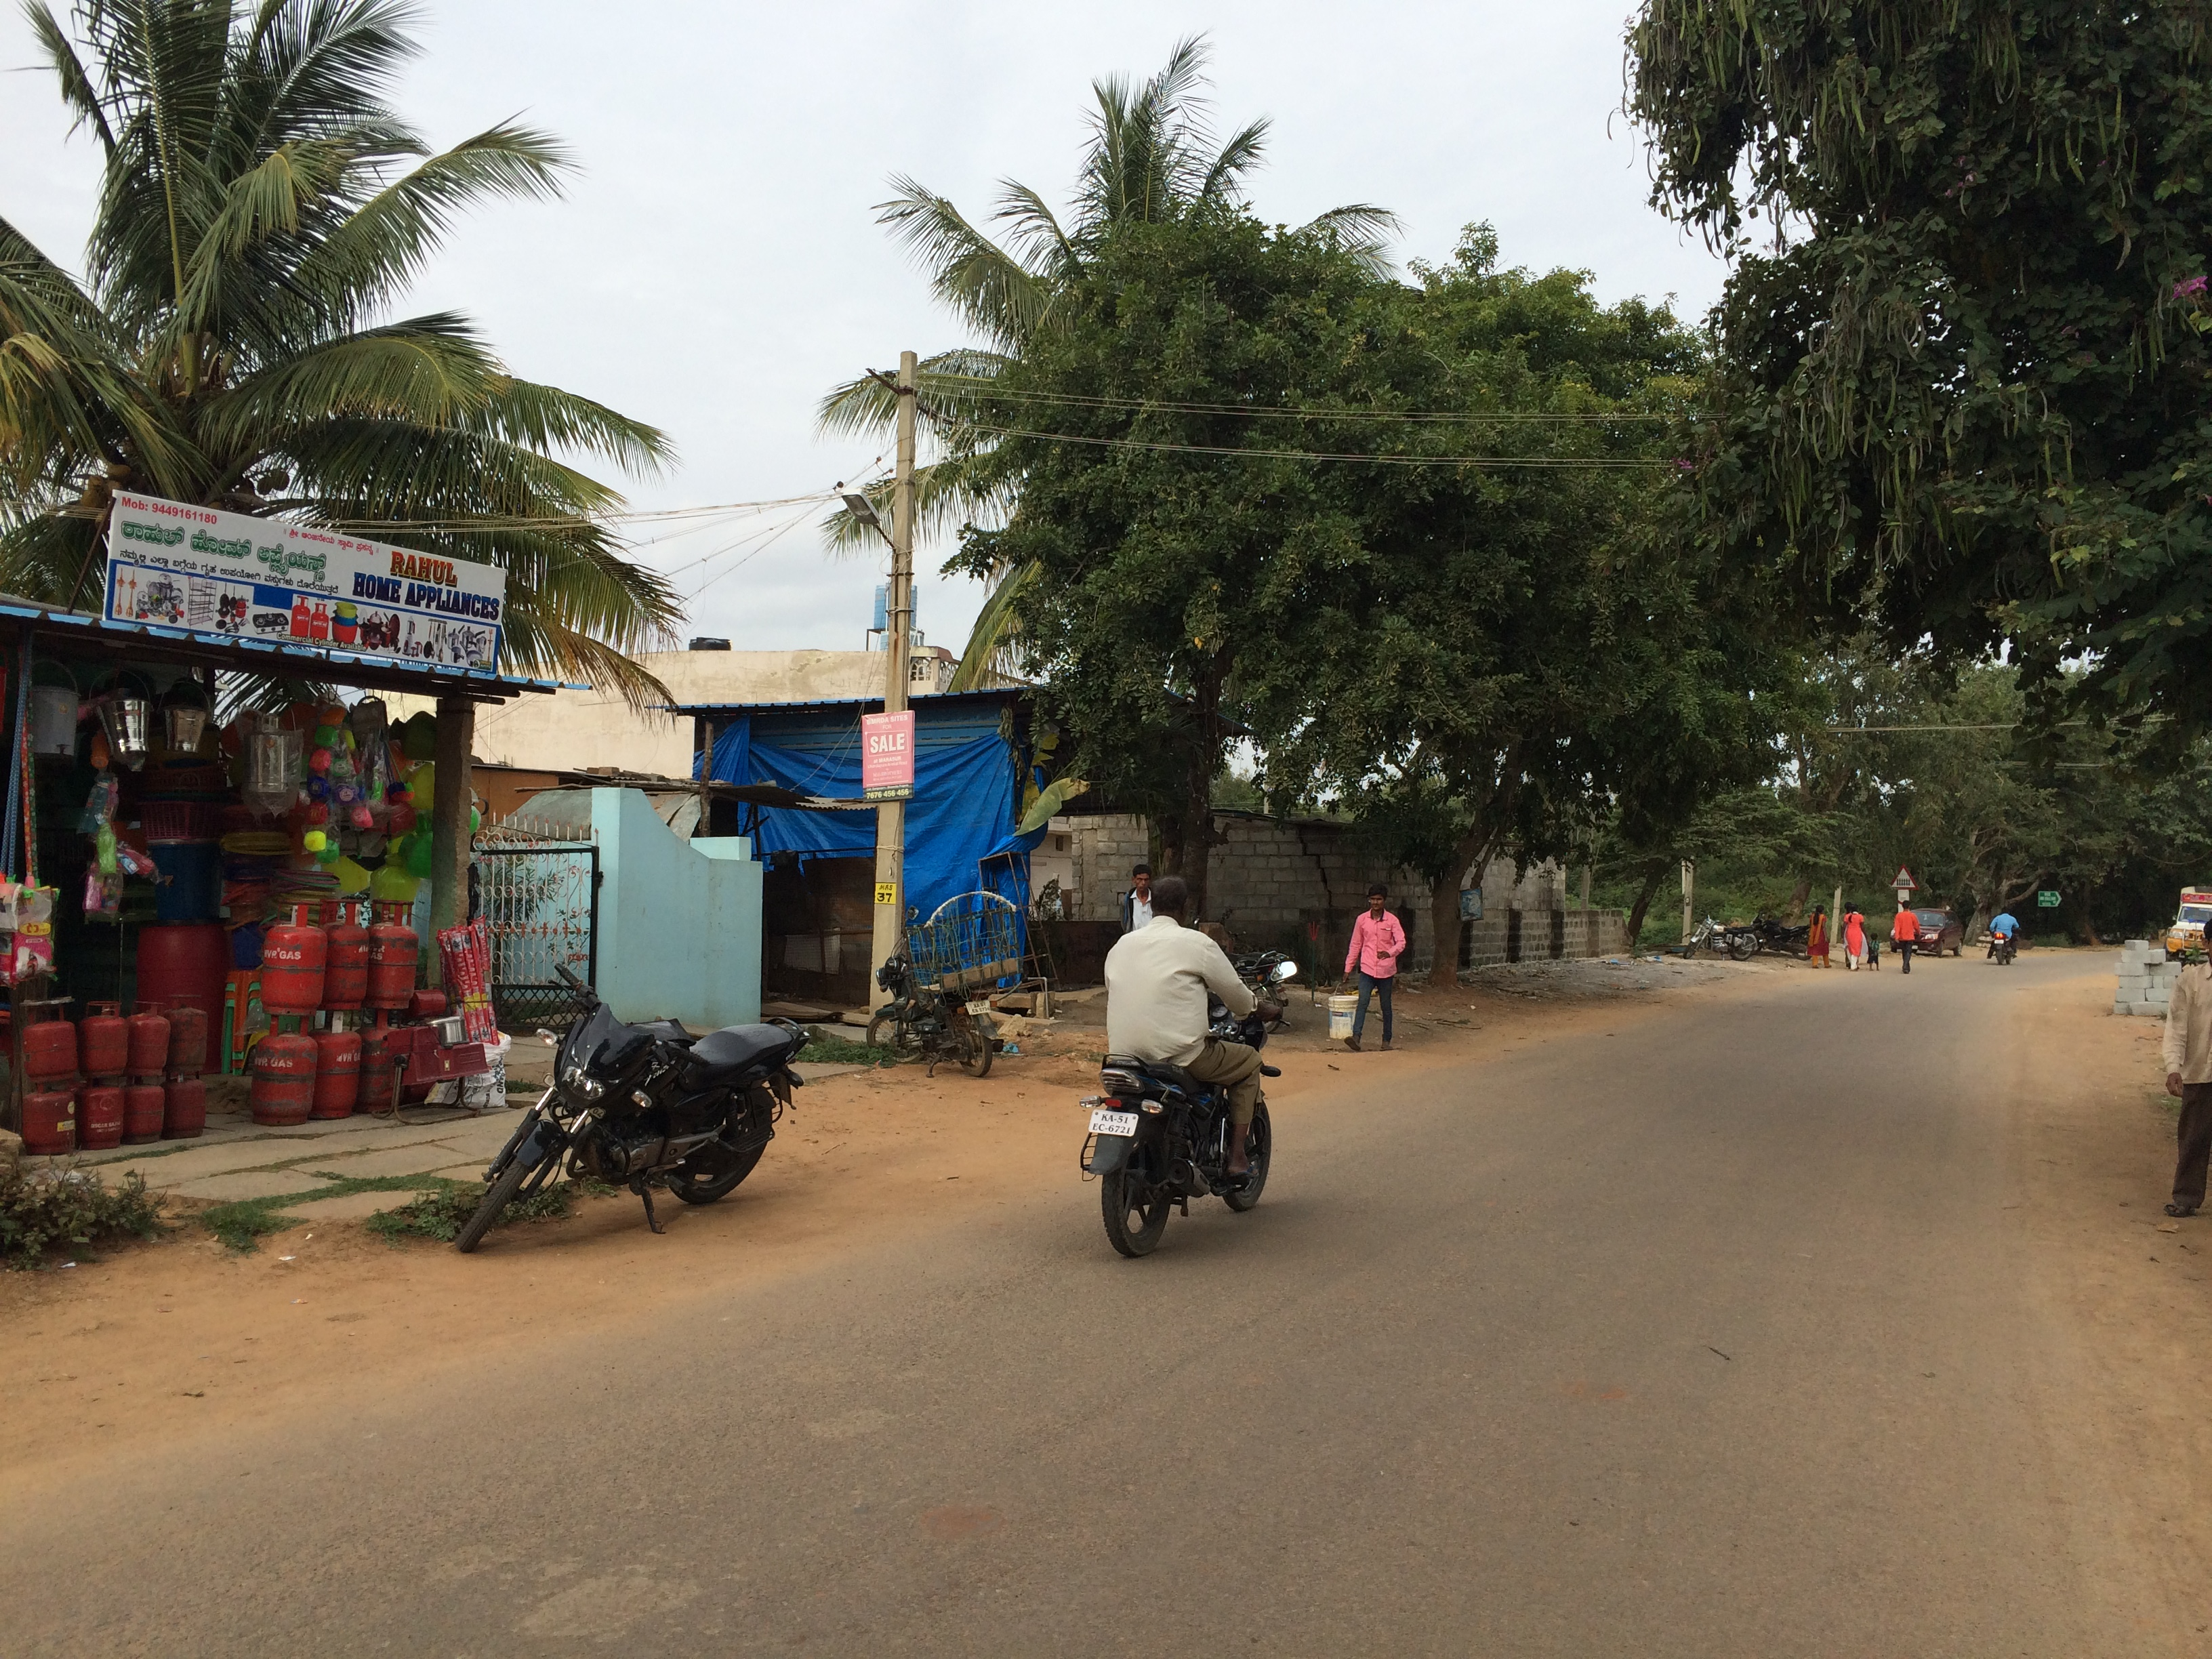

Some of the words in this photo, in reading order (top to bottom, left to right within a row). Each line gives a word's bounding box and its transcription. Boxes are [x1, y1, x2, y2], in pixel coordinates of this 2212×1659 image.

[115, 491, 153, 514] Mob:
[148, 498, 220, 527] 9449161180
[116, 543, 150, 567] ನಮ್ಶಲ್ಲ
[116, 516, 187, 551] ರಾಹುಲ್
[147, 551, 173, 571] ಎಲ್ಲಾ
[169, 554, 201, 575] ಬಗ್ಗೆಯ
[194, 559, 220, 579] ಗೃಹ
[188, 523, 254, 562] ಹೋಮ್
[218, 565, 263, 581] ಉಪಯೋಗಿ
[260, 570, 295, 591] ವಸ್ತುಗಳು
[283, 525, 303, 541] ಶ್ರೀ
[255, 539, 331, 584] ಅಪ್ಲೈಯಸ್ಡ
[296, 527, 338, 546] ಆಂಜನೇಯ
[292, 577, 342, 598] ದೊರೆಯುತ್ತದ
[335, 536, 356, 552] ಸ್ವಾಮಿ
[351, 539, 375, 558] ಪ್ರಸನ್ನ
[350, 570, 405, 607] HOME
[388, 544, 462, 591] RAHUL
[398, 578, 504, 623] APPLIANCES
[274, 627, 316, 647] Commercial
[311, 636, 342, 650] Cylinder
[338, 638, 370, 656] Available